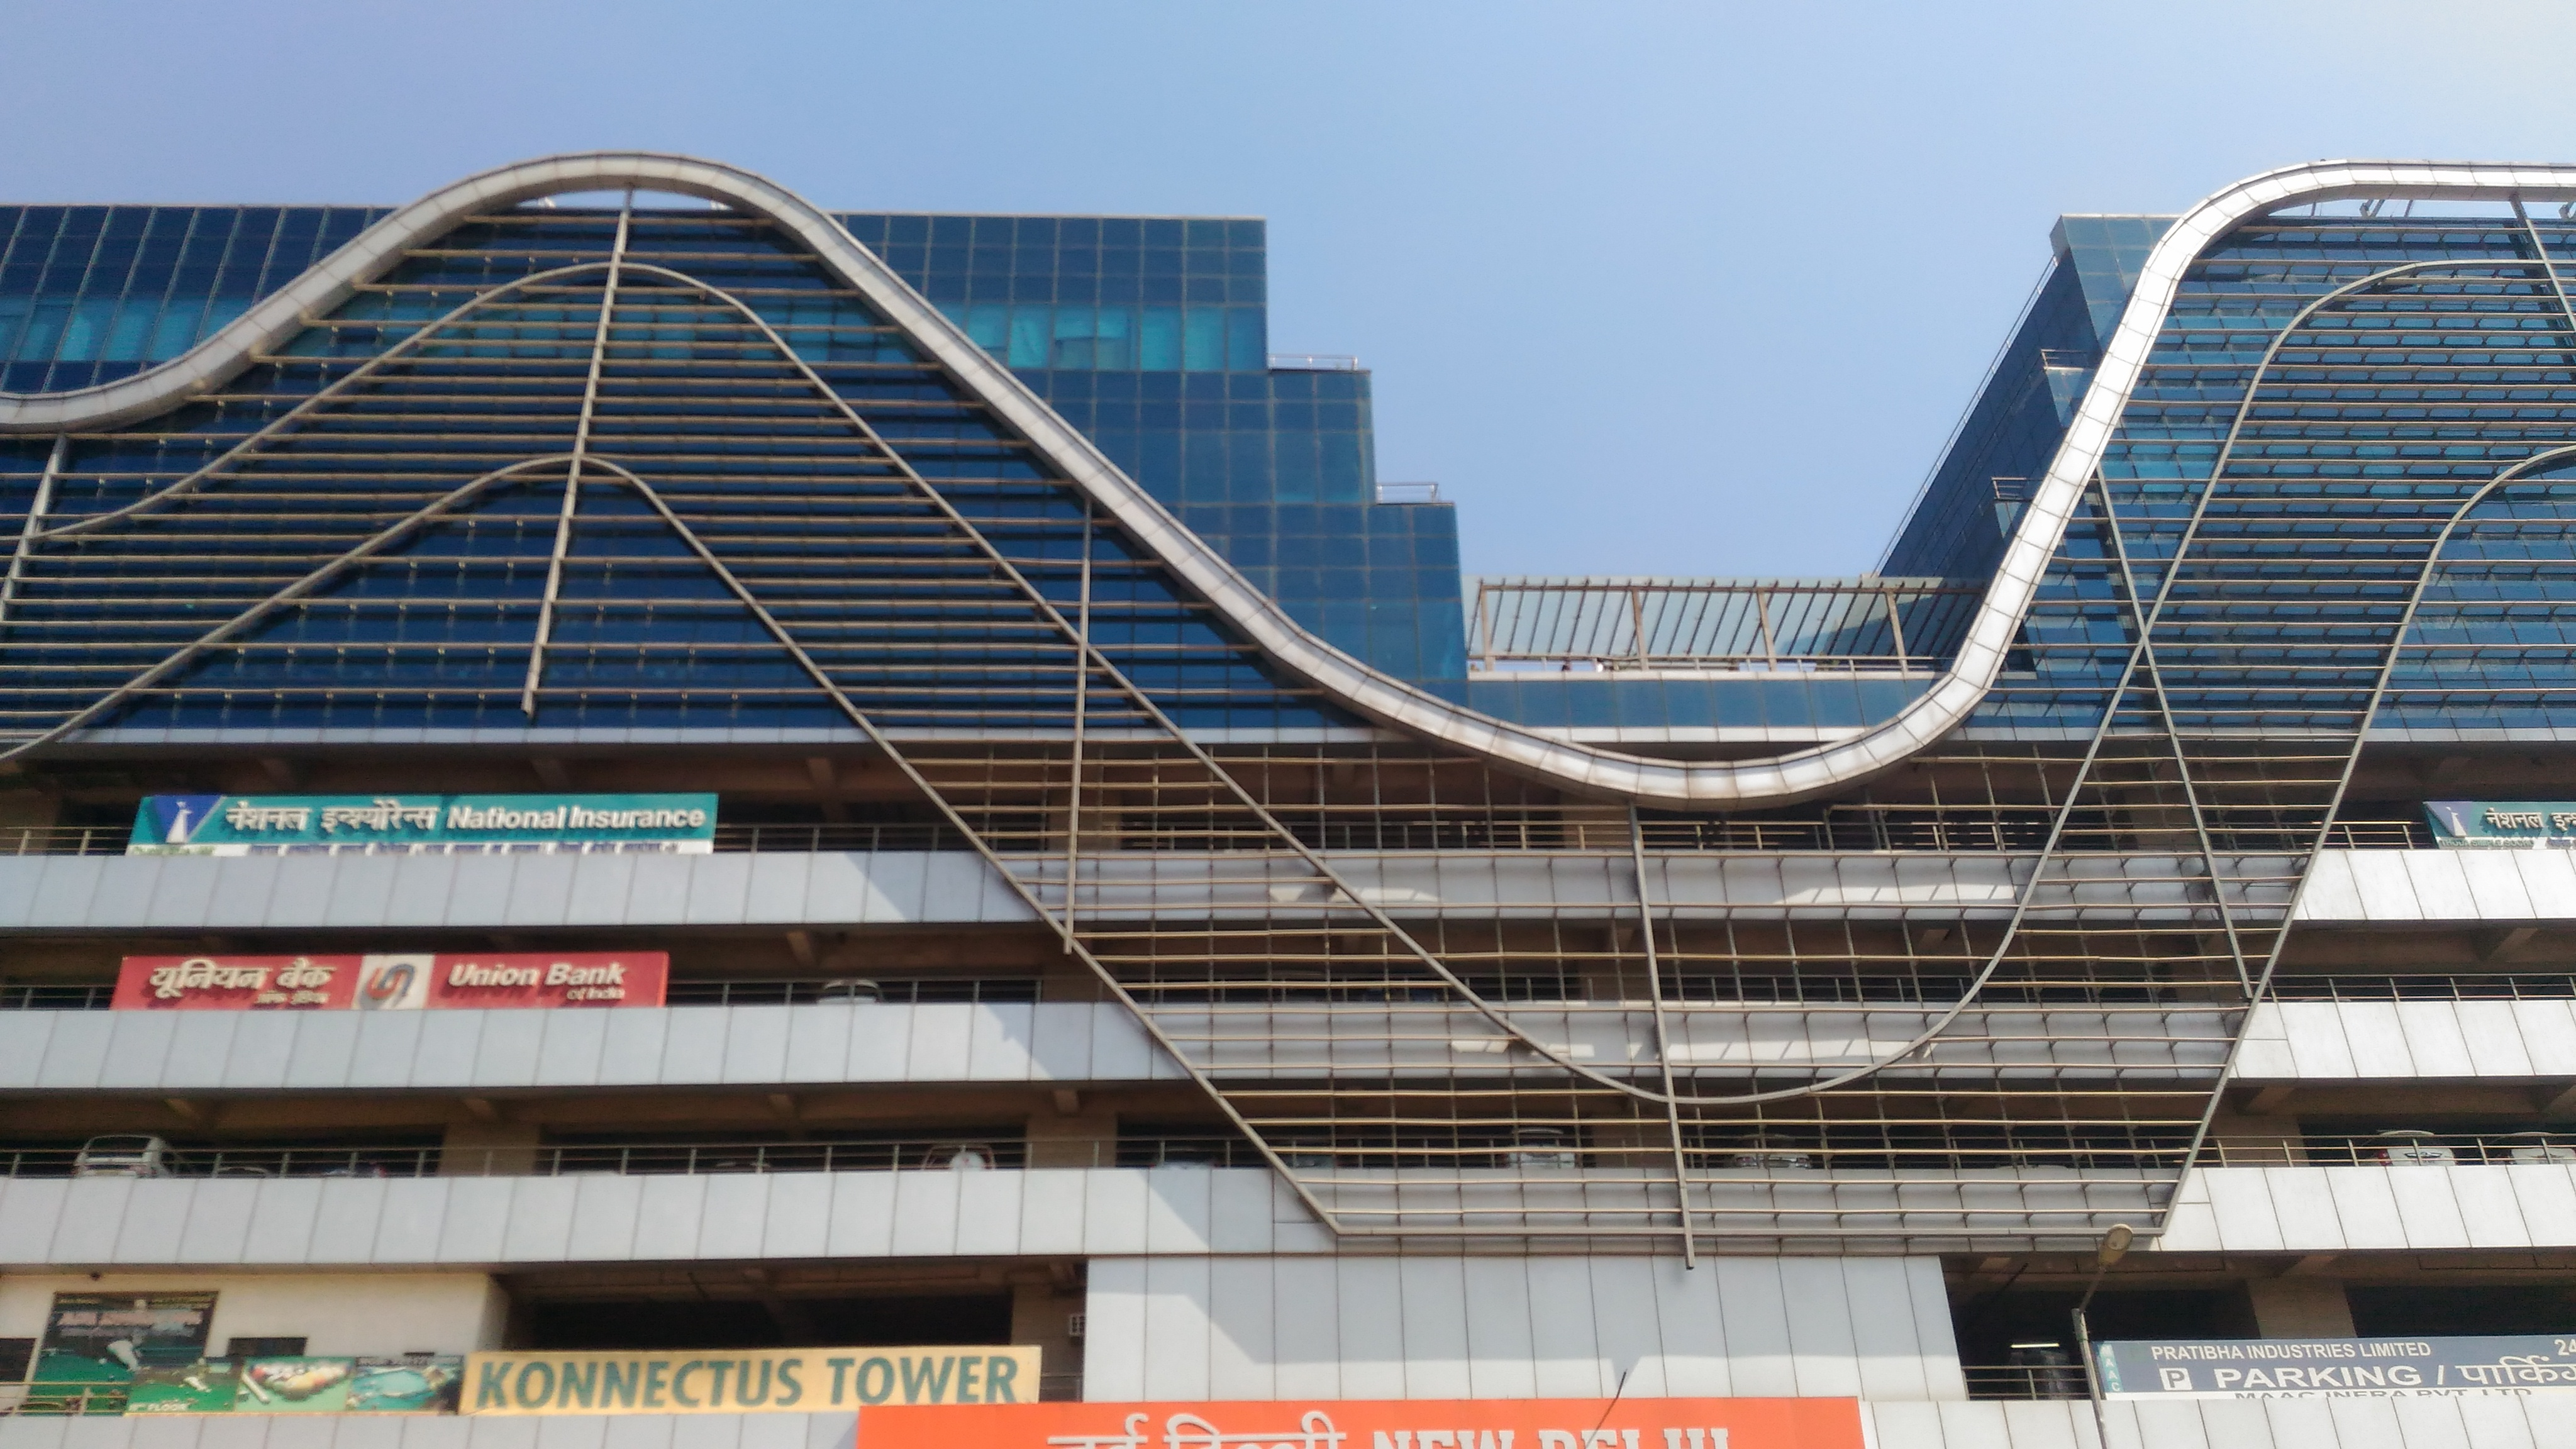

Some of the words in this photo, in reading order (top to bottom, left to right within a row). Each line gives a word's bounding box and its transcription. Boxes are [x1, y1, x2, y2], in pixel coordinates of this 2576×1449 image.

[218, 799, 314, 840] नेशनल
[315, 795, 441, 837] इन्श्योरेन्स
[444, 803, 569, 831] National
[565, 804, 706, 830] Insurance
[2480, 804, 2548, 831] नेशनल
[146, 950, 270, 1004] यूनियन
[272, 946, 342, 992] बैंक
[441, 957, 546, 994] Union
[536, 955, 634, 990] Bank
[2148, 1339, 2248, 1362] PRATIBHA
[2241, 1339, 2357, 1362] INDUSTRIES
[2356, 1338, 2434, 1359] LIMITED
[472, 1355, 810, 1414] KONNECTUS
[828, 1352, 1020, 1416] TOWER
[2212, 1362, 2424, 1392] नवारात्त्रात
[2452, 1352, 2574, 1390] पार्किंग